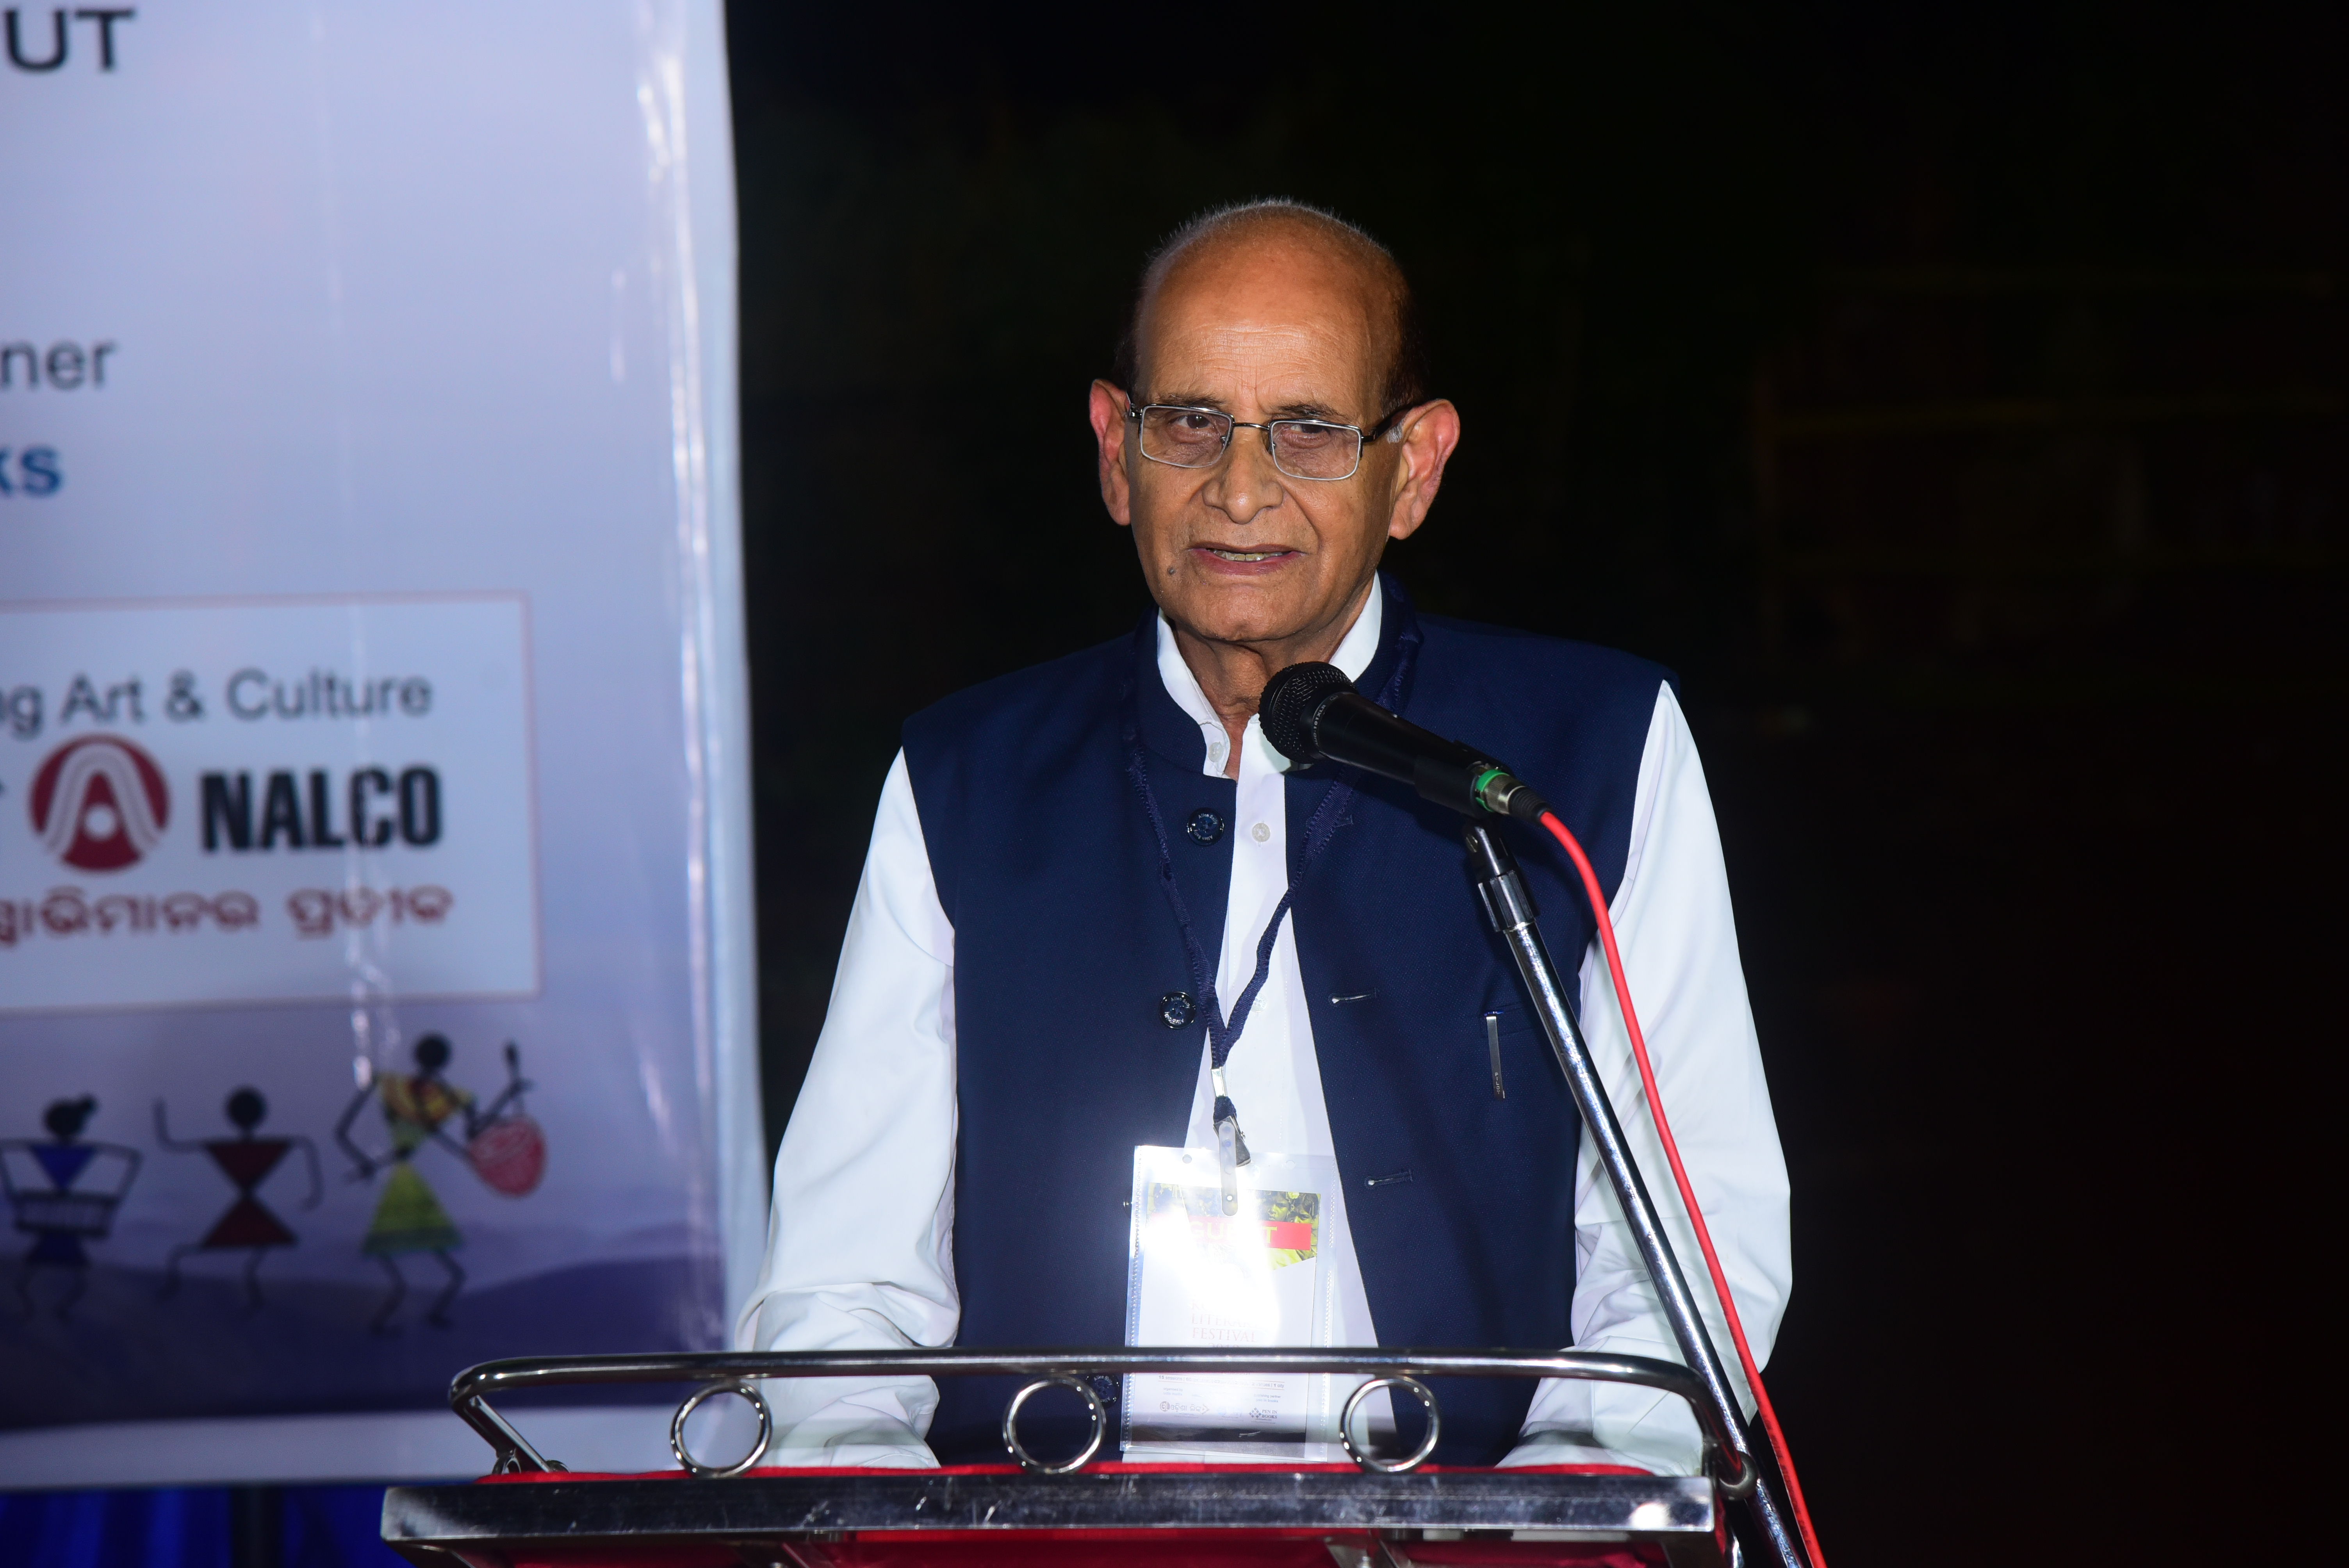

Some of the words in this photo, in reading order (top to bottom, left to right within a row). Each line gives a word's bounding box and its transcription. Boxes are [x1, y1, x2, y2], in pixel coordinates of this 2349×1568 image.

[38, 658, 155, 735] Art
[220, 654, 440, 724] Culture
[195, 760, 444, 859] NALCO
[2, 875, 269, 950] ଭିମାନର